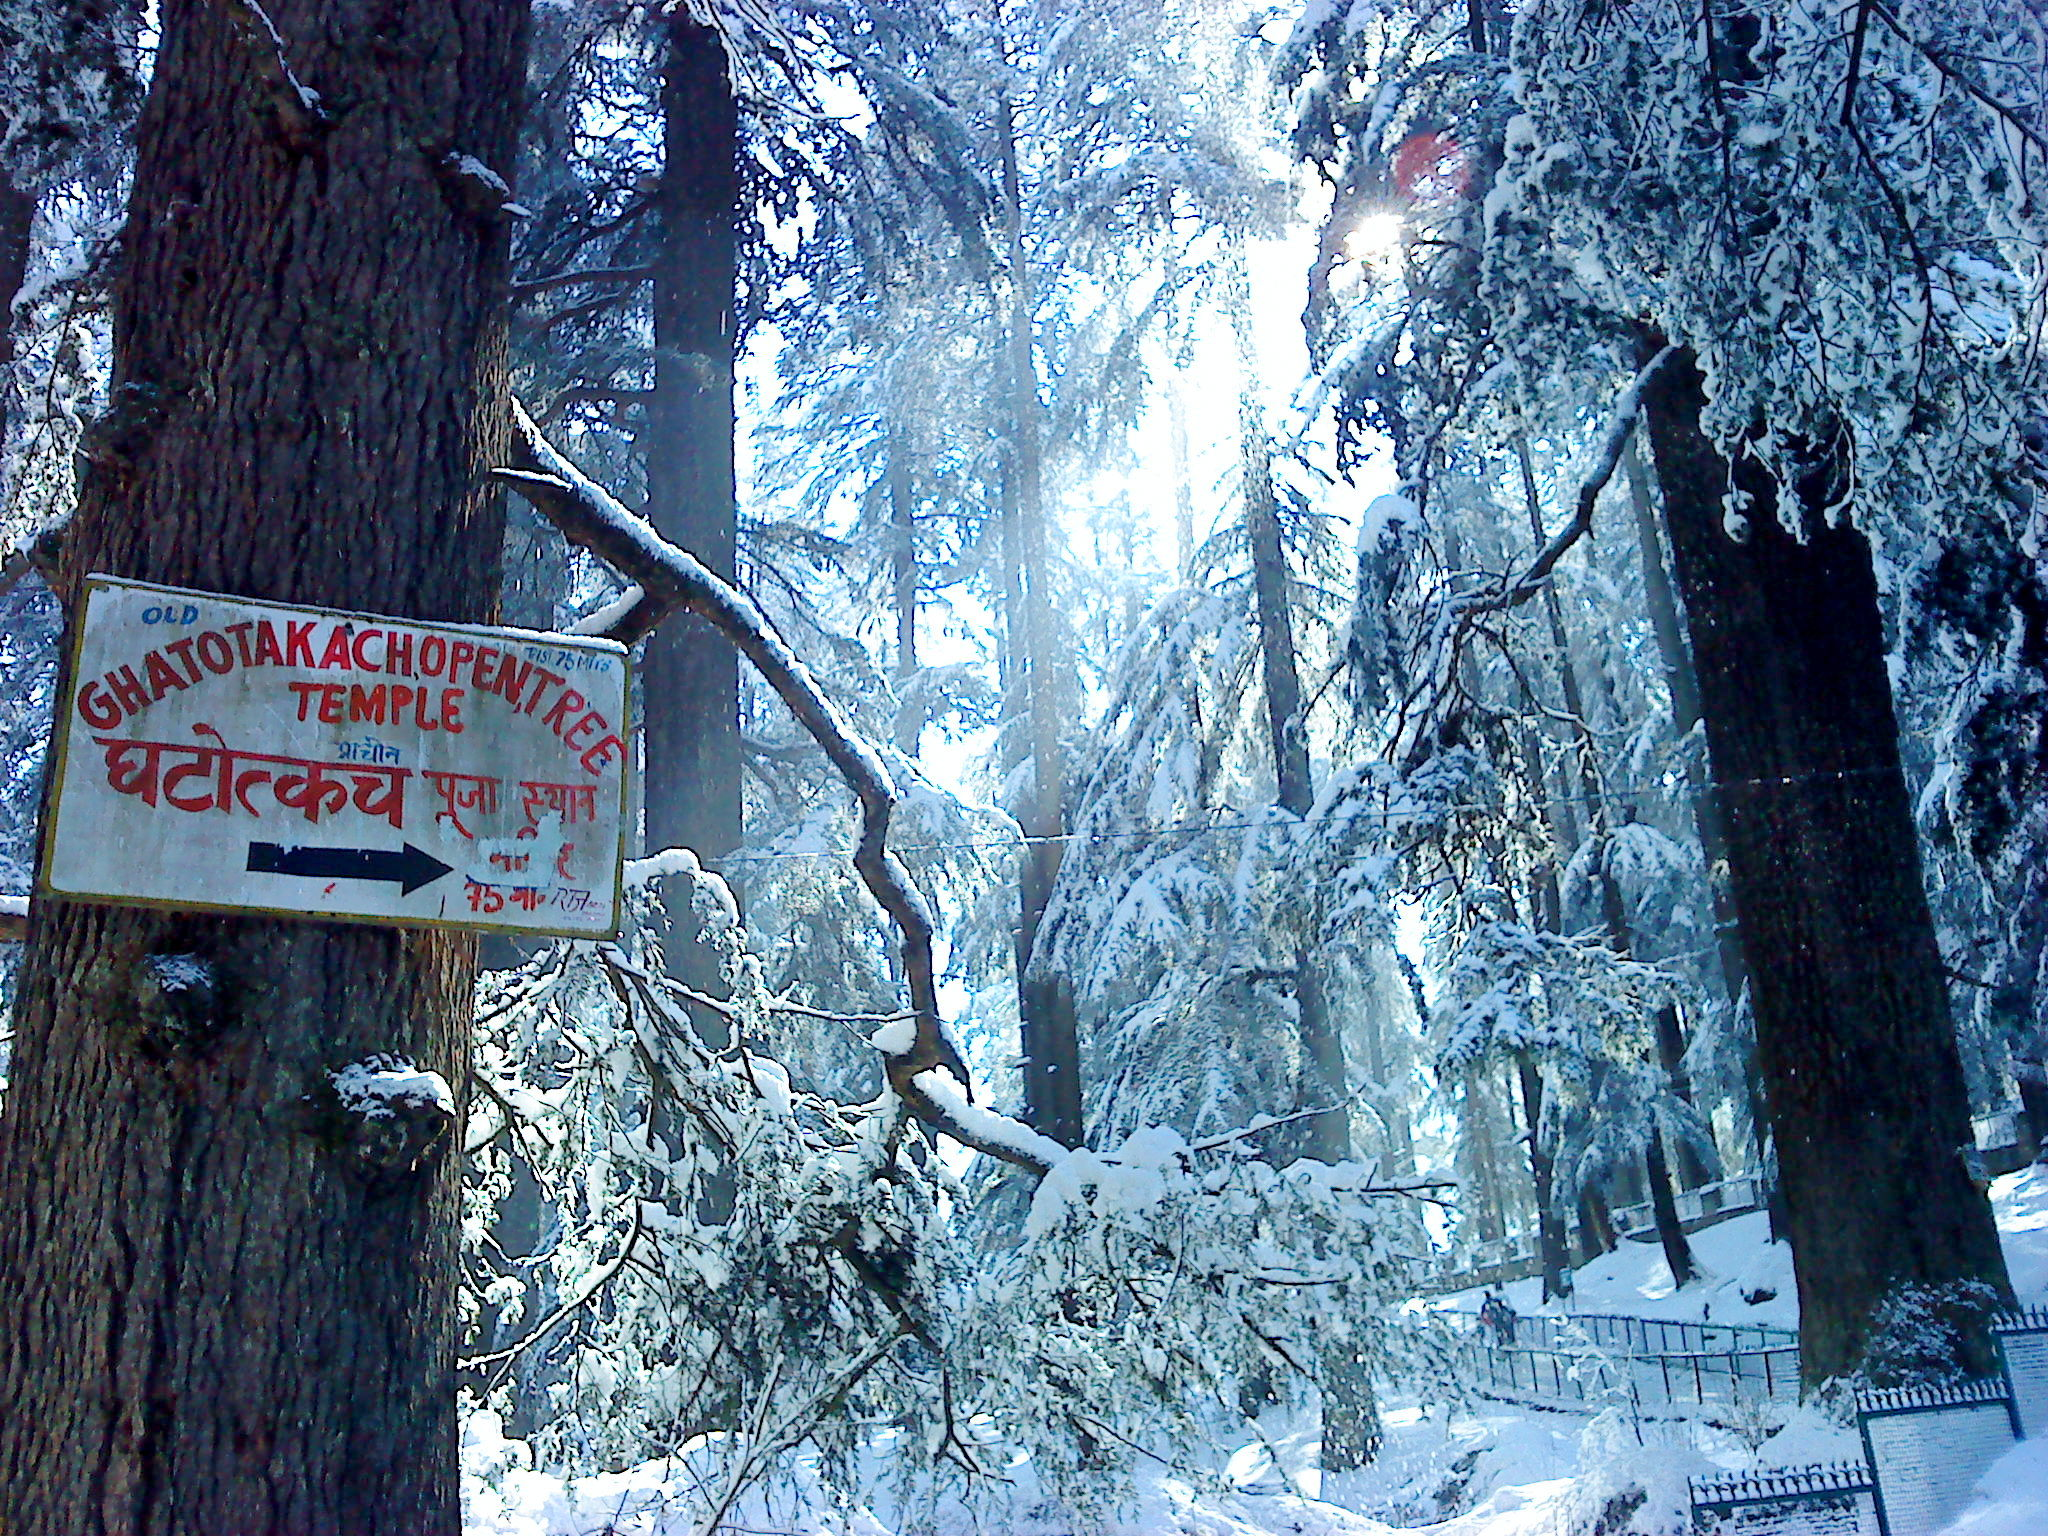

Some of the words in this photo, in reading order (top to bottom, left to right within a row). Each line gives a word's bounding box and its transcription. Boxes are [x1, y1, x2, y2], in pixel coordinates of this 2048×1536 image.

[73, 612, 415, 741] GHATOTAKACH
[286, 677, 467, 735] TEMPLE
[415, 630, 631, 780] OPEN,TREE
[87, 716, 413, 830] घटोत्कच
[330, 731, 406, 768] प्राचीन
[421, 765, 507, 845] पूजा
[518, 776, 599, 829] स्थान
[458, 876, 511, 921] 75
[505, 881, 550, 916] मा.